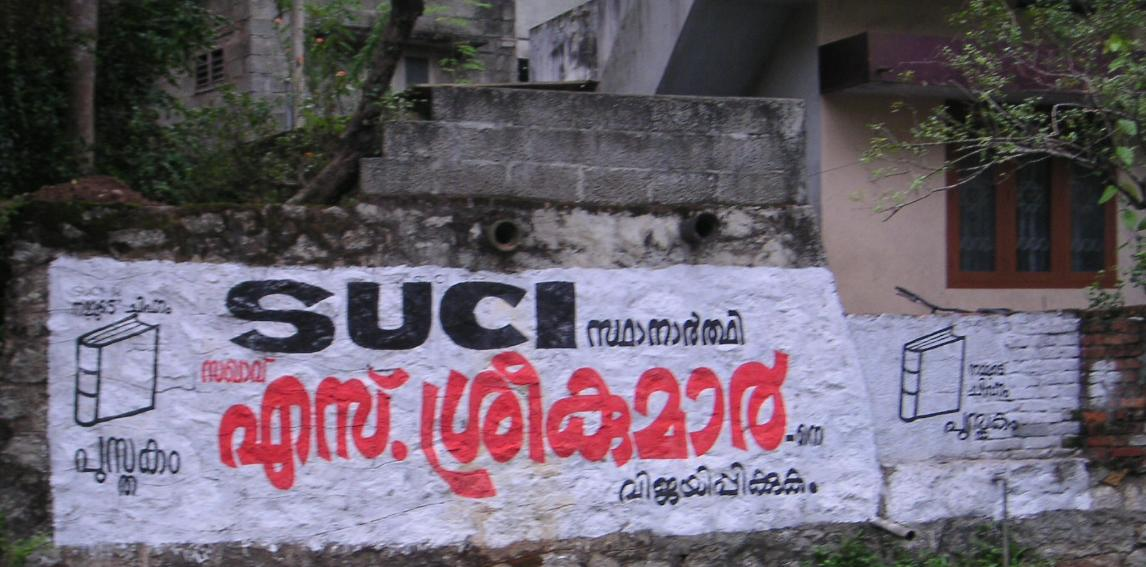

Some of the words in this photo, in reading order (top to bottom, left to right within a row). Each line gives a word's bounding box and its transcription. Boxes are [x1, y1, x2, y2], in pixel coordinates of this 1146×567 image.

[218, 274, 583, 361] SUCI
[581, 307, 752, 354] സ്ഥാനാർത്ഥി
[194, 354, 281, 386] സഖാവ്
[71, 428, 192, 500] പുസ്തകം
[208, 366, 417, 494] എസ്.
[408, 342, 792, 504] ശ്രീകുമാർ
[612, 459, 825, 510] വിஜയിപ്പിക്കുകം